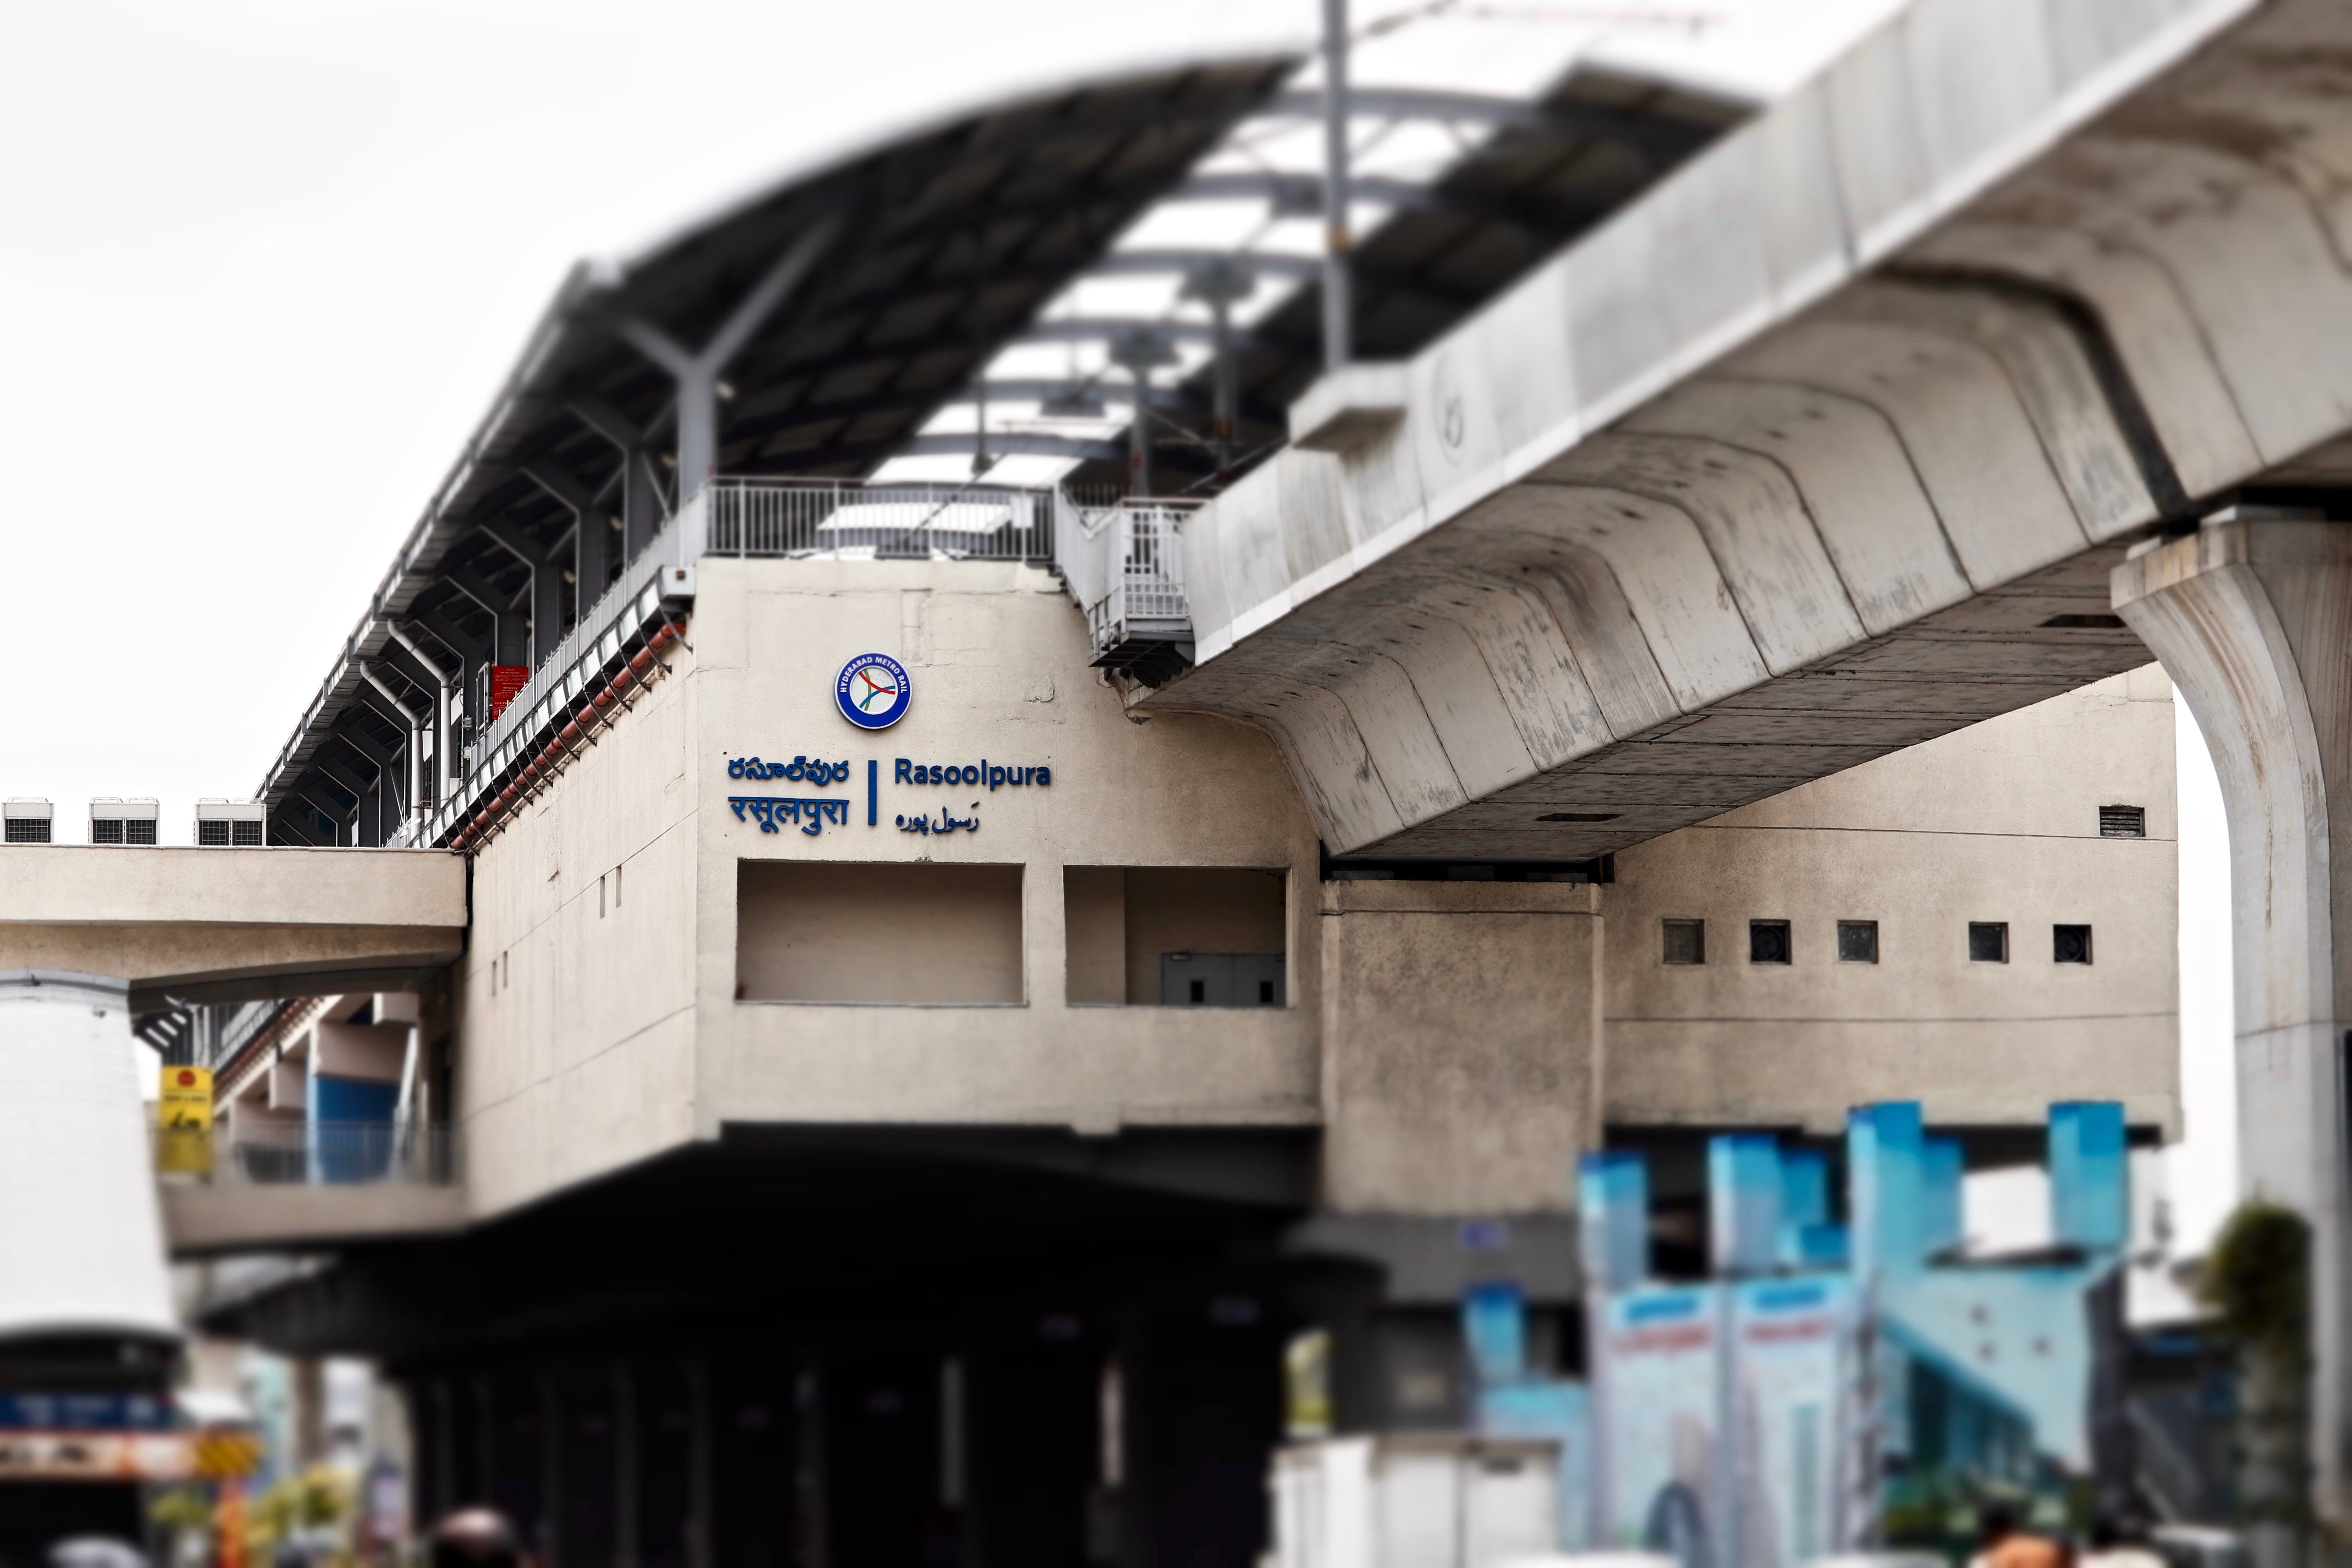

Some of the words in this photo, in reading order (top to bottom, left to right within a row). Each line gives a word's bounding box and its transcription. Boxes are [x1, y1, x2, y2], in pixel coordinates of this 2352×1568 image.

[838, 655, 873, 694] HYDERABAD
[873, 655, 900, 677] METRO
[895, 673, 909, 694] RAIL
[725, 754, 851, 788] రసూల్పుర
[894, 758, 1051, 793] Rasoolpura
[727, 796, 849, 836] रसूलपुरा